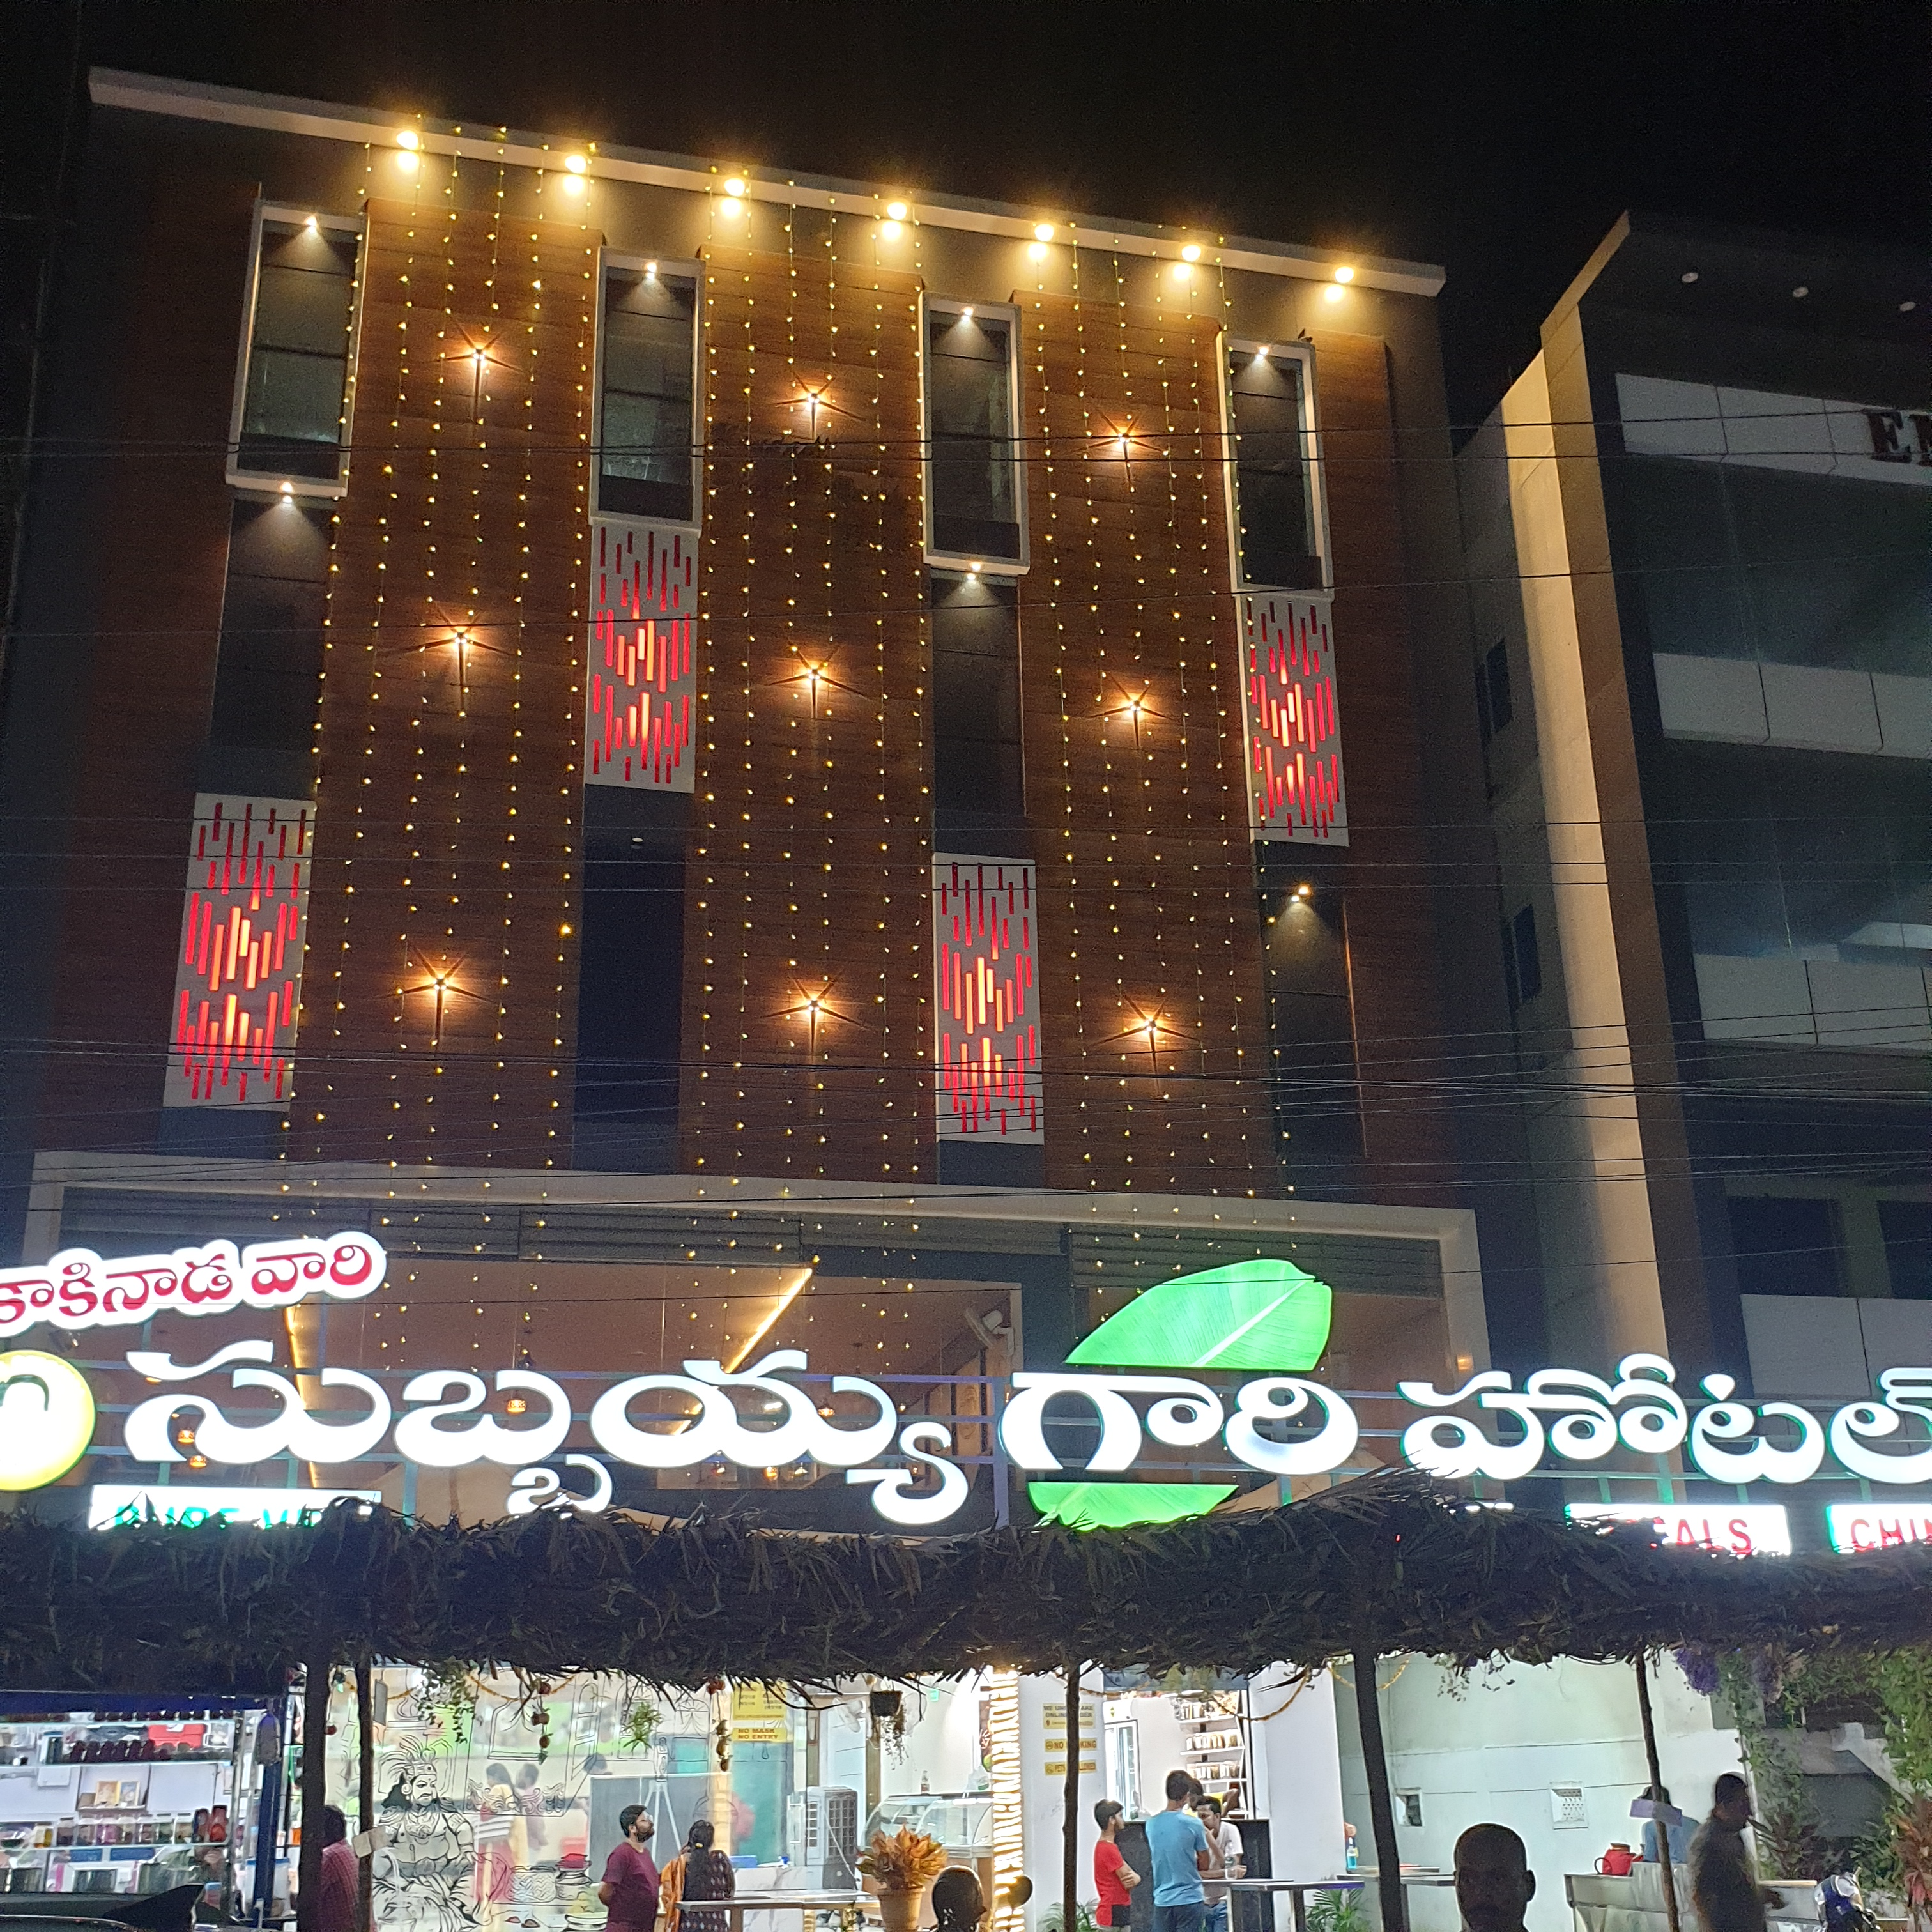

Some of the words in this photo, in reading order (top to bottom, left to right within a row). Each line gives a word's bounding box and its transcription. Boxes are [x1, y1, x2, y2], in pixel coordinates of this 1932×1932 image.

[1, 1250, 236, 1328] కాకనాడ
[245, 1244, 377, 1304] వారి
[118, 1333, 972, 1529] సుబ్బయ్య
[992, 1368, 1361, 1478] గారి
[1395, 1344, 1831, 1492] హోట